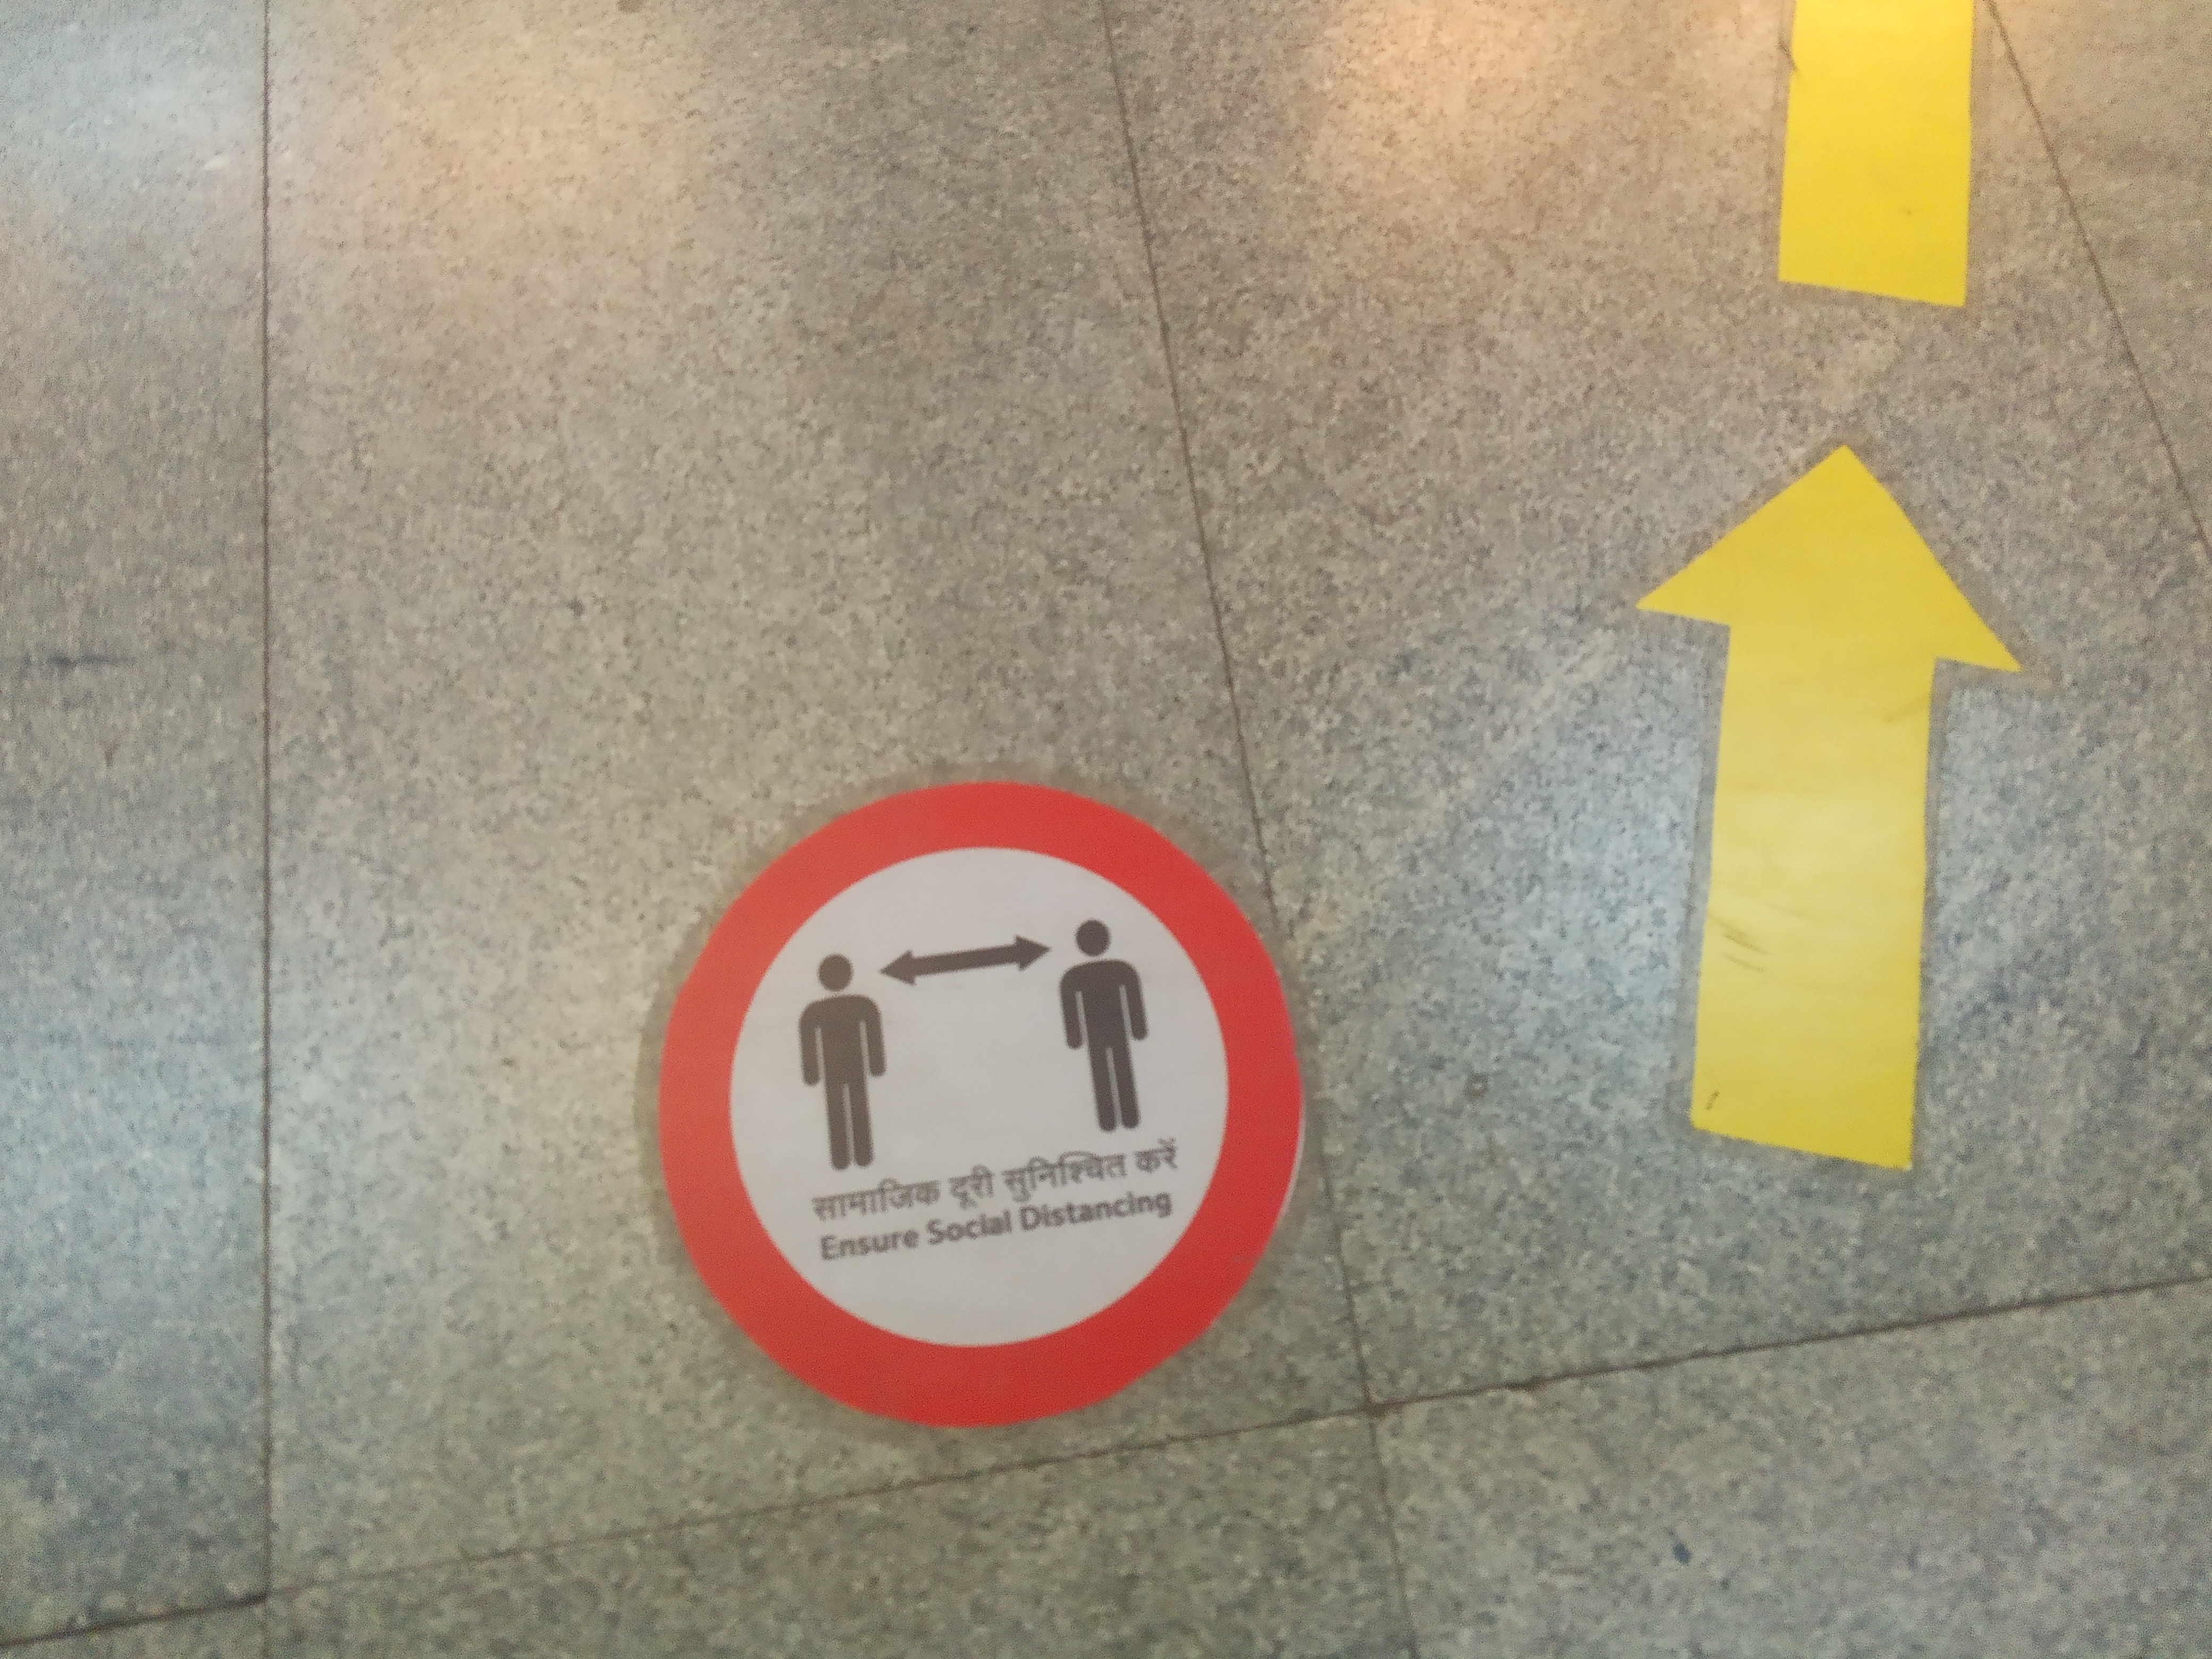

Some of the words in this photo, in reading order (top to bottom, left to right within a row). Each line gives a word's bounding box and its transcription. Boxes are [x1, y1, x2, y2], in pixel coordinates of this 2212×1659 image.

[818, 1224, 923, 1263] Ensure
[808, 1172, 942, 1227] सामाजिक
[945, 1160, 996, 1214] दूरी
[925, 1207, 1016, 1248] Social
[1002, 1147, 1129, 1205] सुनिश्चित
[1019, 1189, 1175, 1235] Distancing
[1129, 1132, 1182, 1178] करें